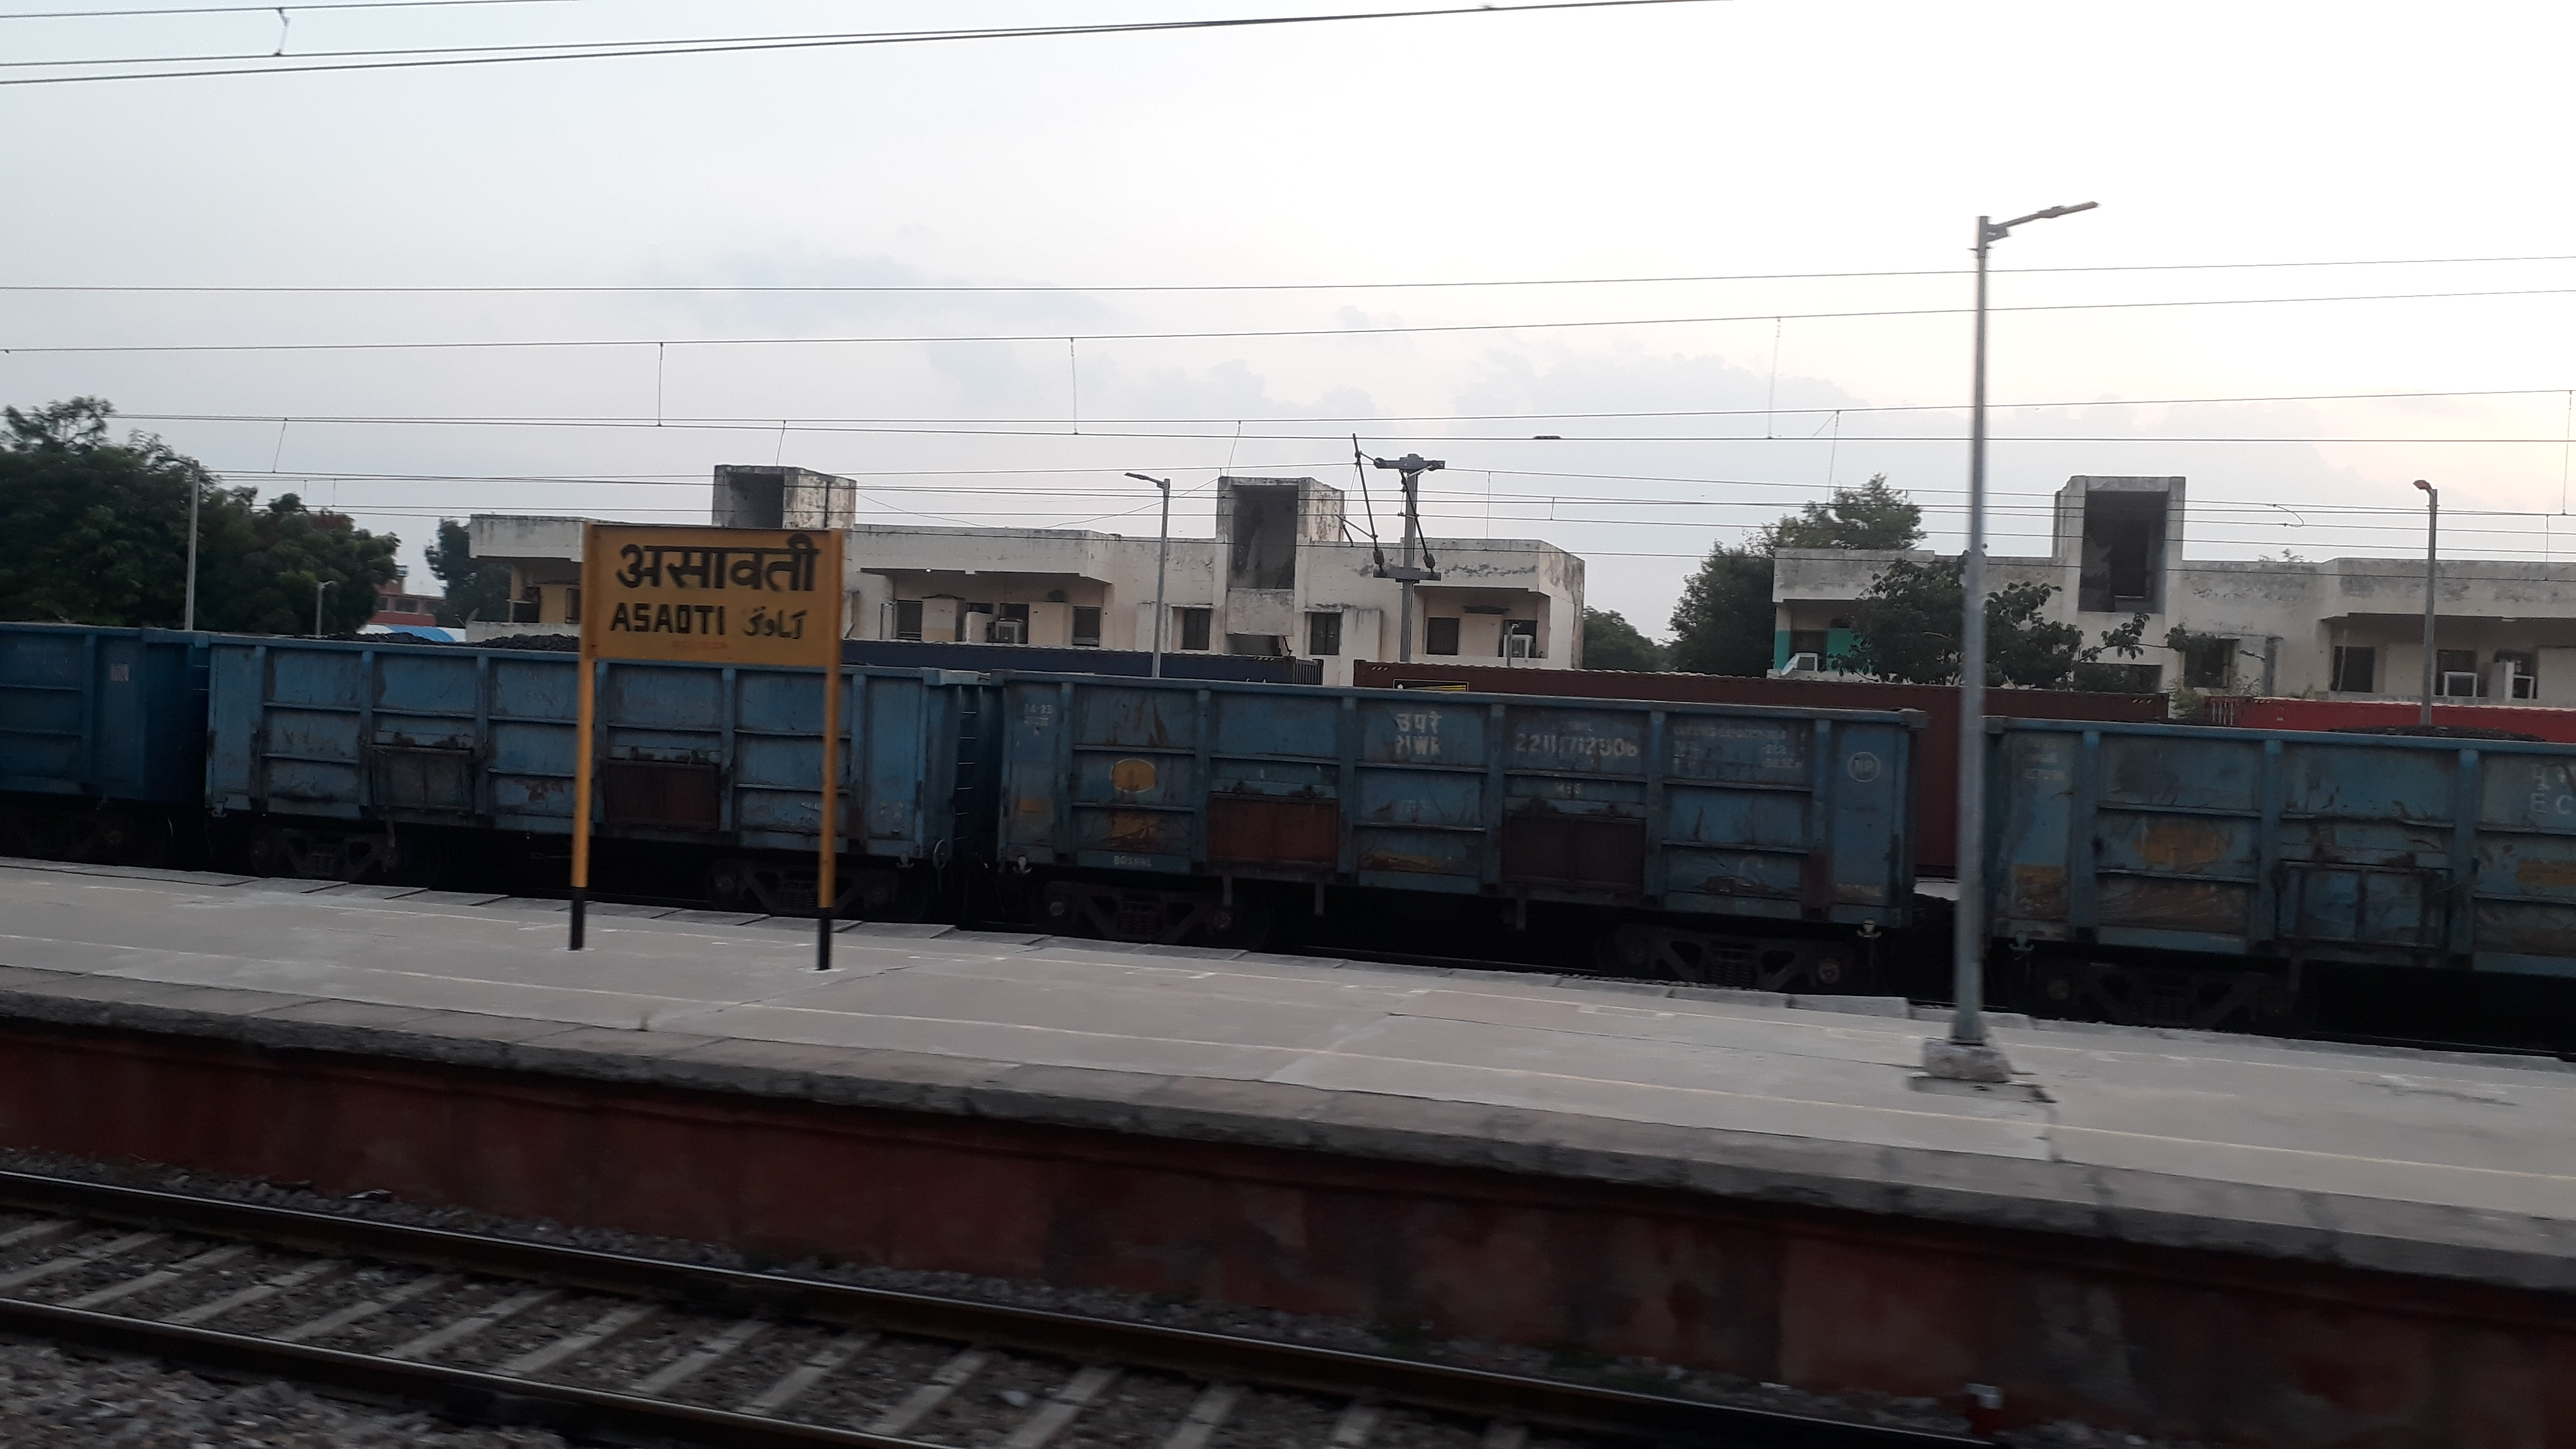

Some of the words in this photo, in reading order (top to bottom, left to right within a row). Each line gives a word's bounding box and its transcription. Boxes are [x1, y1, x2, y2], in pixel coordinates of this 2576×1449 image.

[613, 530, 821, 592] असावती
[608, 602, 724, 635] ASAOTI
[1385, 705, 1442, 736] उपरे